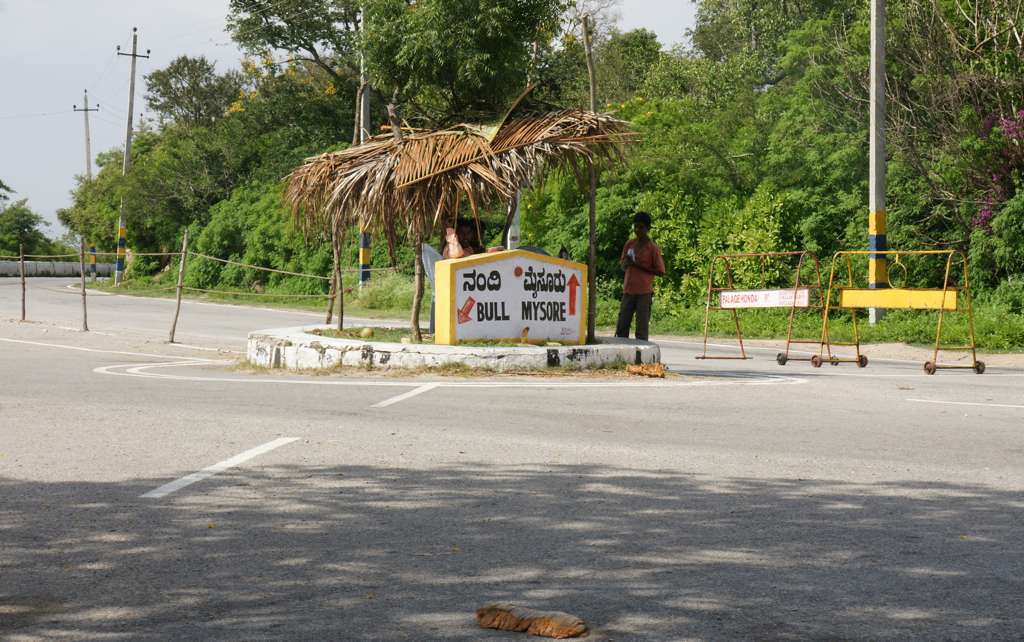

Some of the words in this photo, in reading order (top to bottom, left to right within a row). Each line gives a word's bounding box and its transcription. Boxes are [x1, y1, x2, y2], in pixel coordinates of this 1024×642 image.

[458, 264, 503, 296] ನಂದಿ
[517, 263, 571, 301] ಮೈಸೂರು
[472, 297, 511, 323] BULL
[516, 297, 571, 325] MYSORE
[718, 289, 741, 307] PALAGE
[737, 290, 761, 306] HONDA